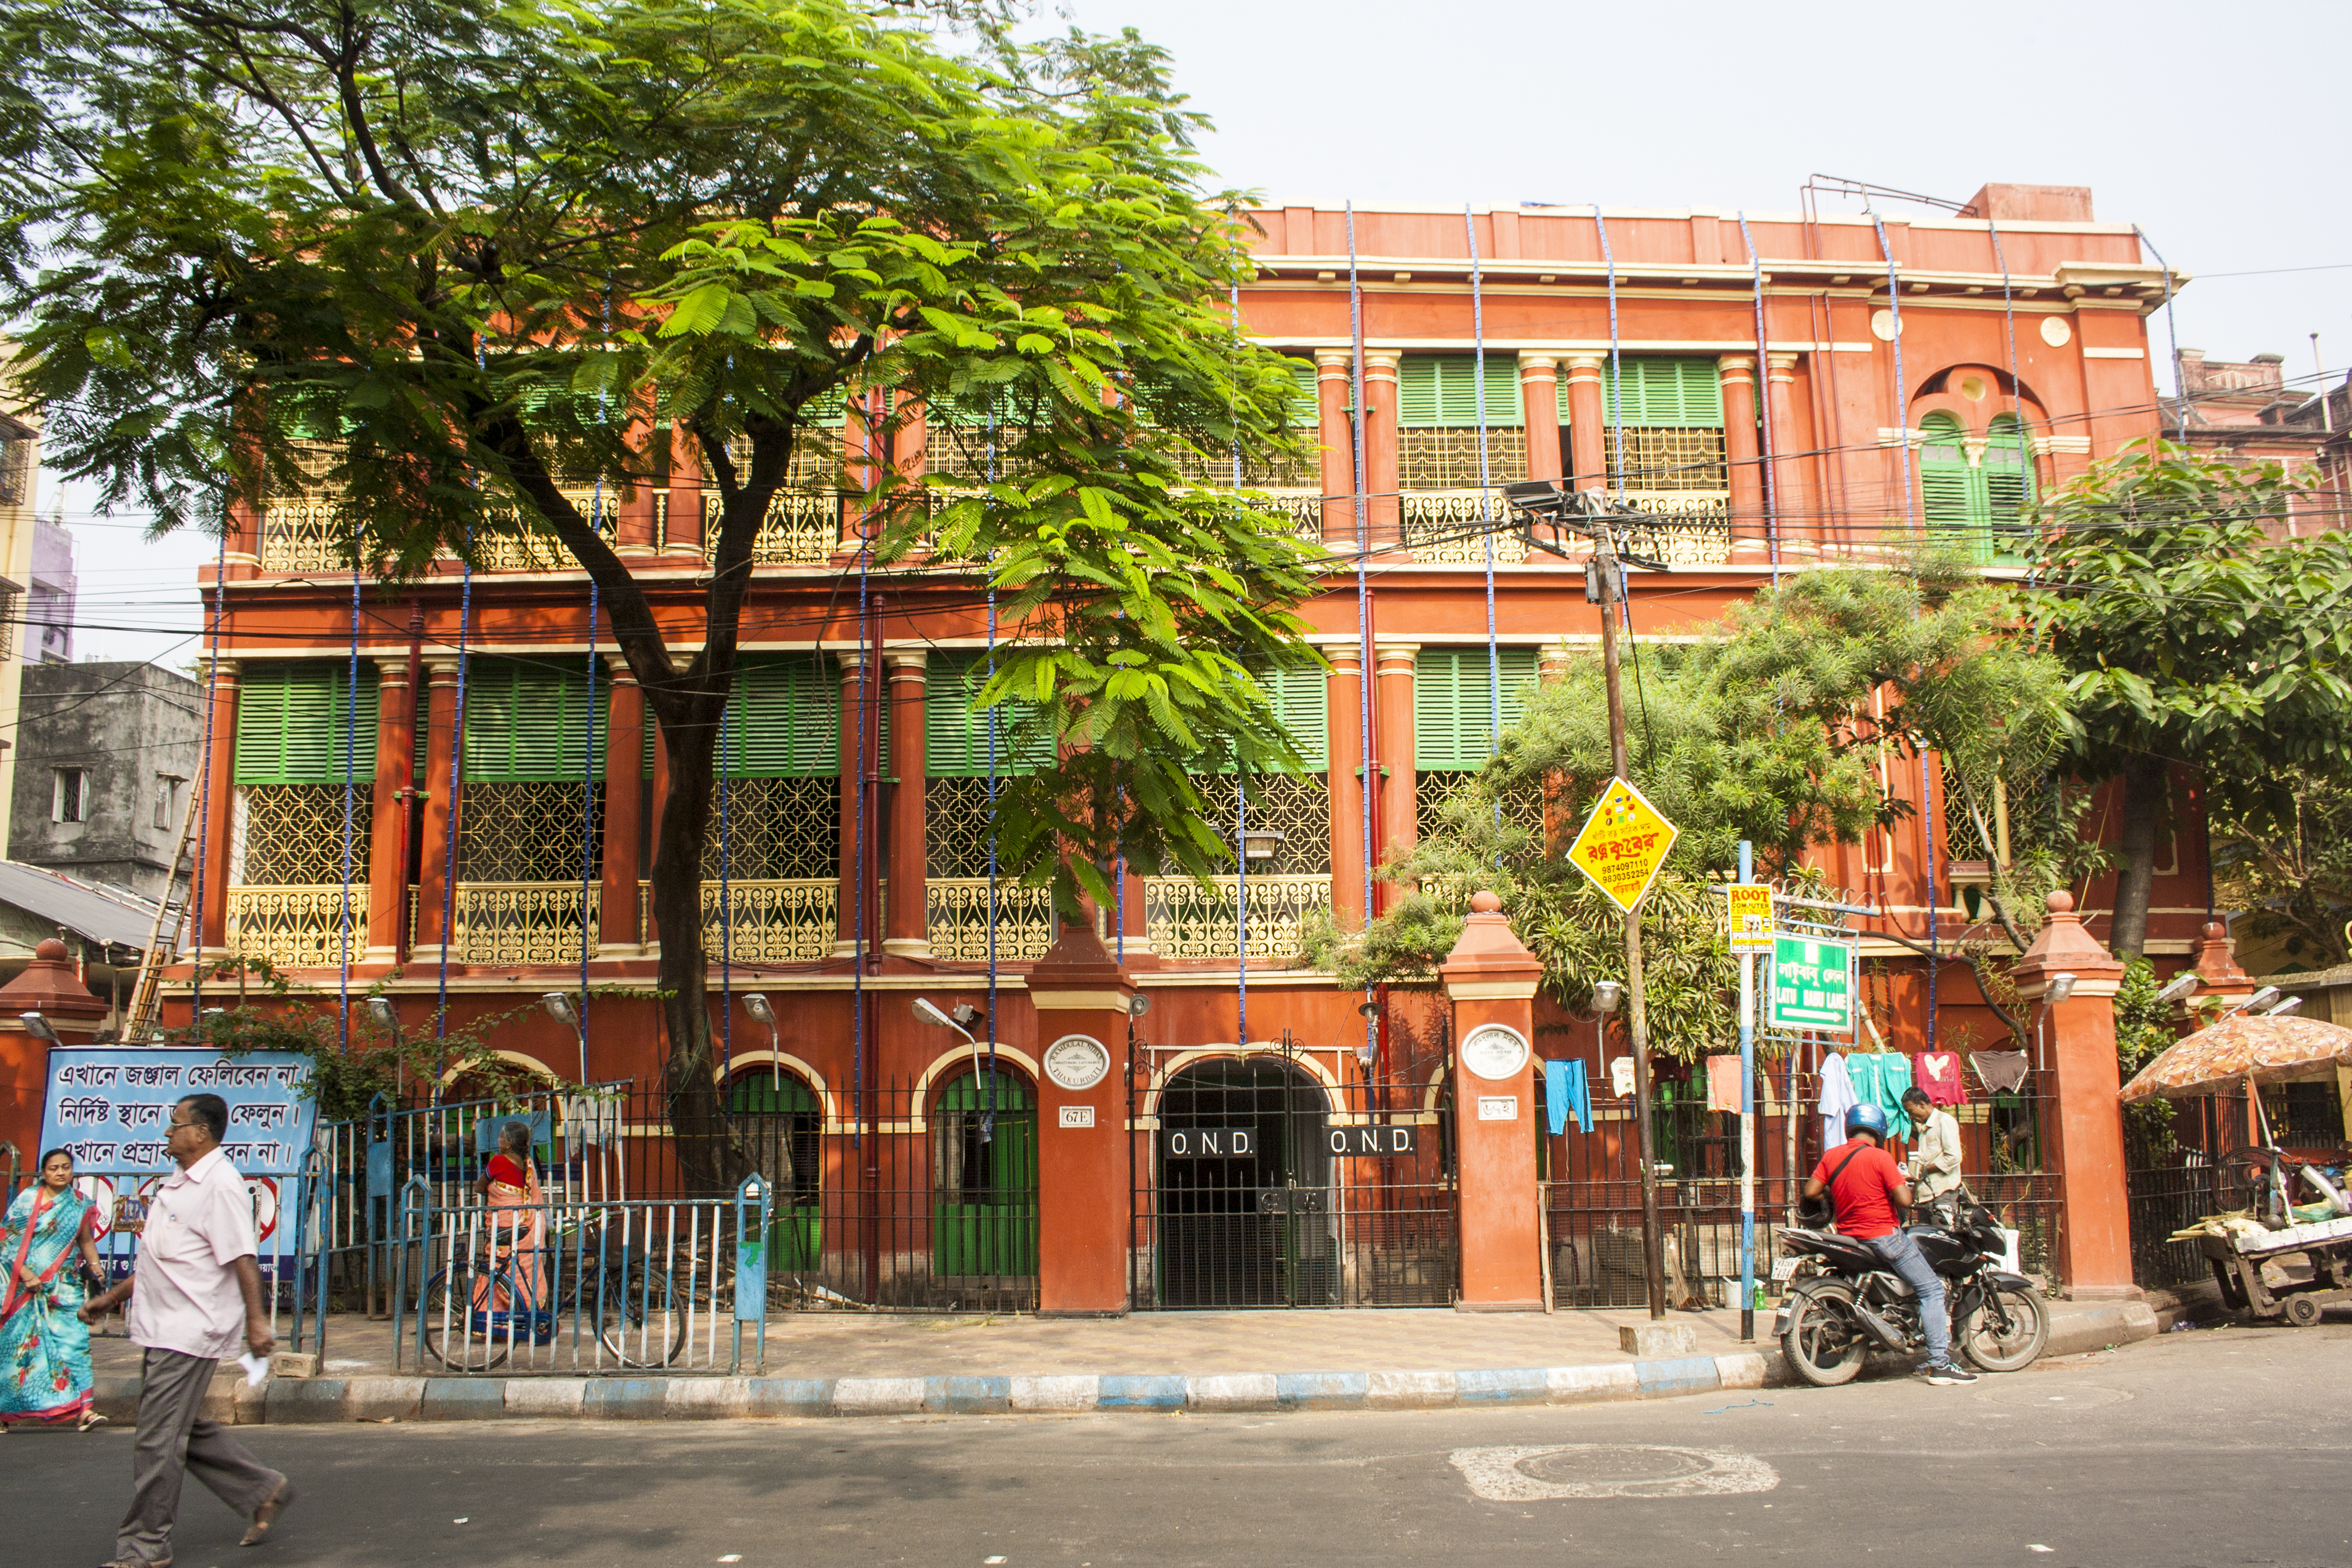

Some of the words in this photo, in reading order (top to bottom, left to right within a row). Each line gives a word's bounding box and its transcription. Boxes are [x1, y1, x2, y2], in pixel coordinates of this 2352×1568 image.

[1584, 826, 1608, 845] খাঁটি
[1581, 830, 1660, 866] রত্নকুবের
[1616, 820, 1641, 837] সঠিক
[1635, 817, 1656, 833] দাম
[1608, 878, 1644, 898] গড়িয়াহাট
[1728, 886, 1771, 908] ROOT
[1729, 900, 1772, 911] COMPUTER
[1773, 956, 1824, 991] লাটুবাবু
[1819, 964, 1848, 989] লেন
[1773, 983, 1800, 1009] LATU
[1800, 986, 1828, 1011] BABU
[1824, 990, 1848, 1013] LANE
[1046, 1037, 1086, 1065] RAMDULAI
[1084, 1041, 1106, 1062] NIBAS
[1468, 1029, 1501, 1049] রাম দুলাল
[50, 1058, 126, 1090] এখানে
[122, 1058, 184, 1091] জঞ্জাল
[182, 1050, 275, 1092] ফেলিবেন
[276, 1060, 303, 1092] না
[1049, 1065, 1082, 1089] THAKU
[1077, 1061, 1107, 1087] RBATI
[49, 1090, 118, 1127] নির্দিষ্ট
[116, 1100, 164, 1132] স্থানে
[228, 1100, 291, 1136] ফেলুন
[65, 1138, 121, 1166] খানে
[1163, 1122, 1251, 1159] O.N.D.
[1328, 1126, 1415, 1154] O.N.D.